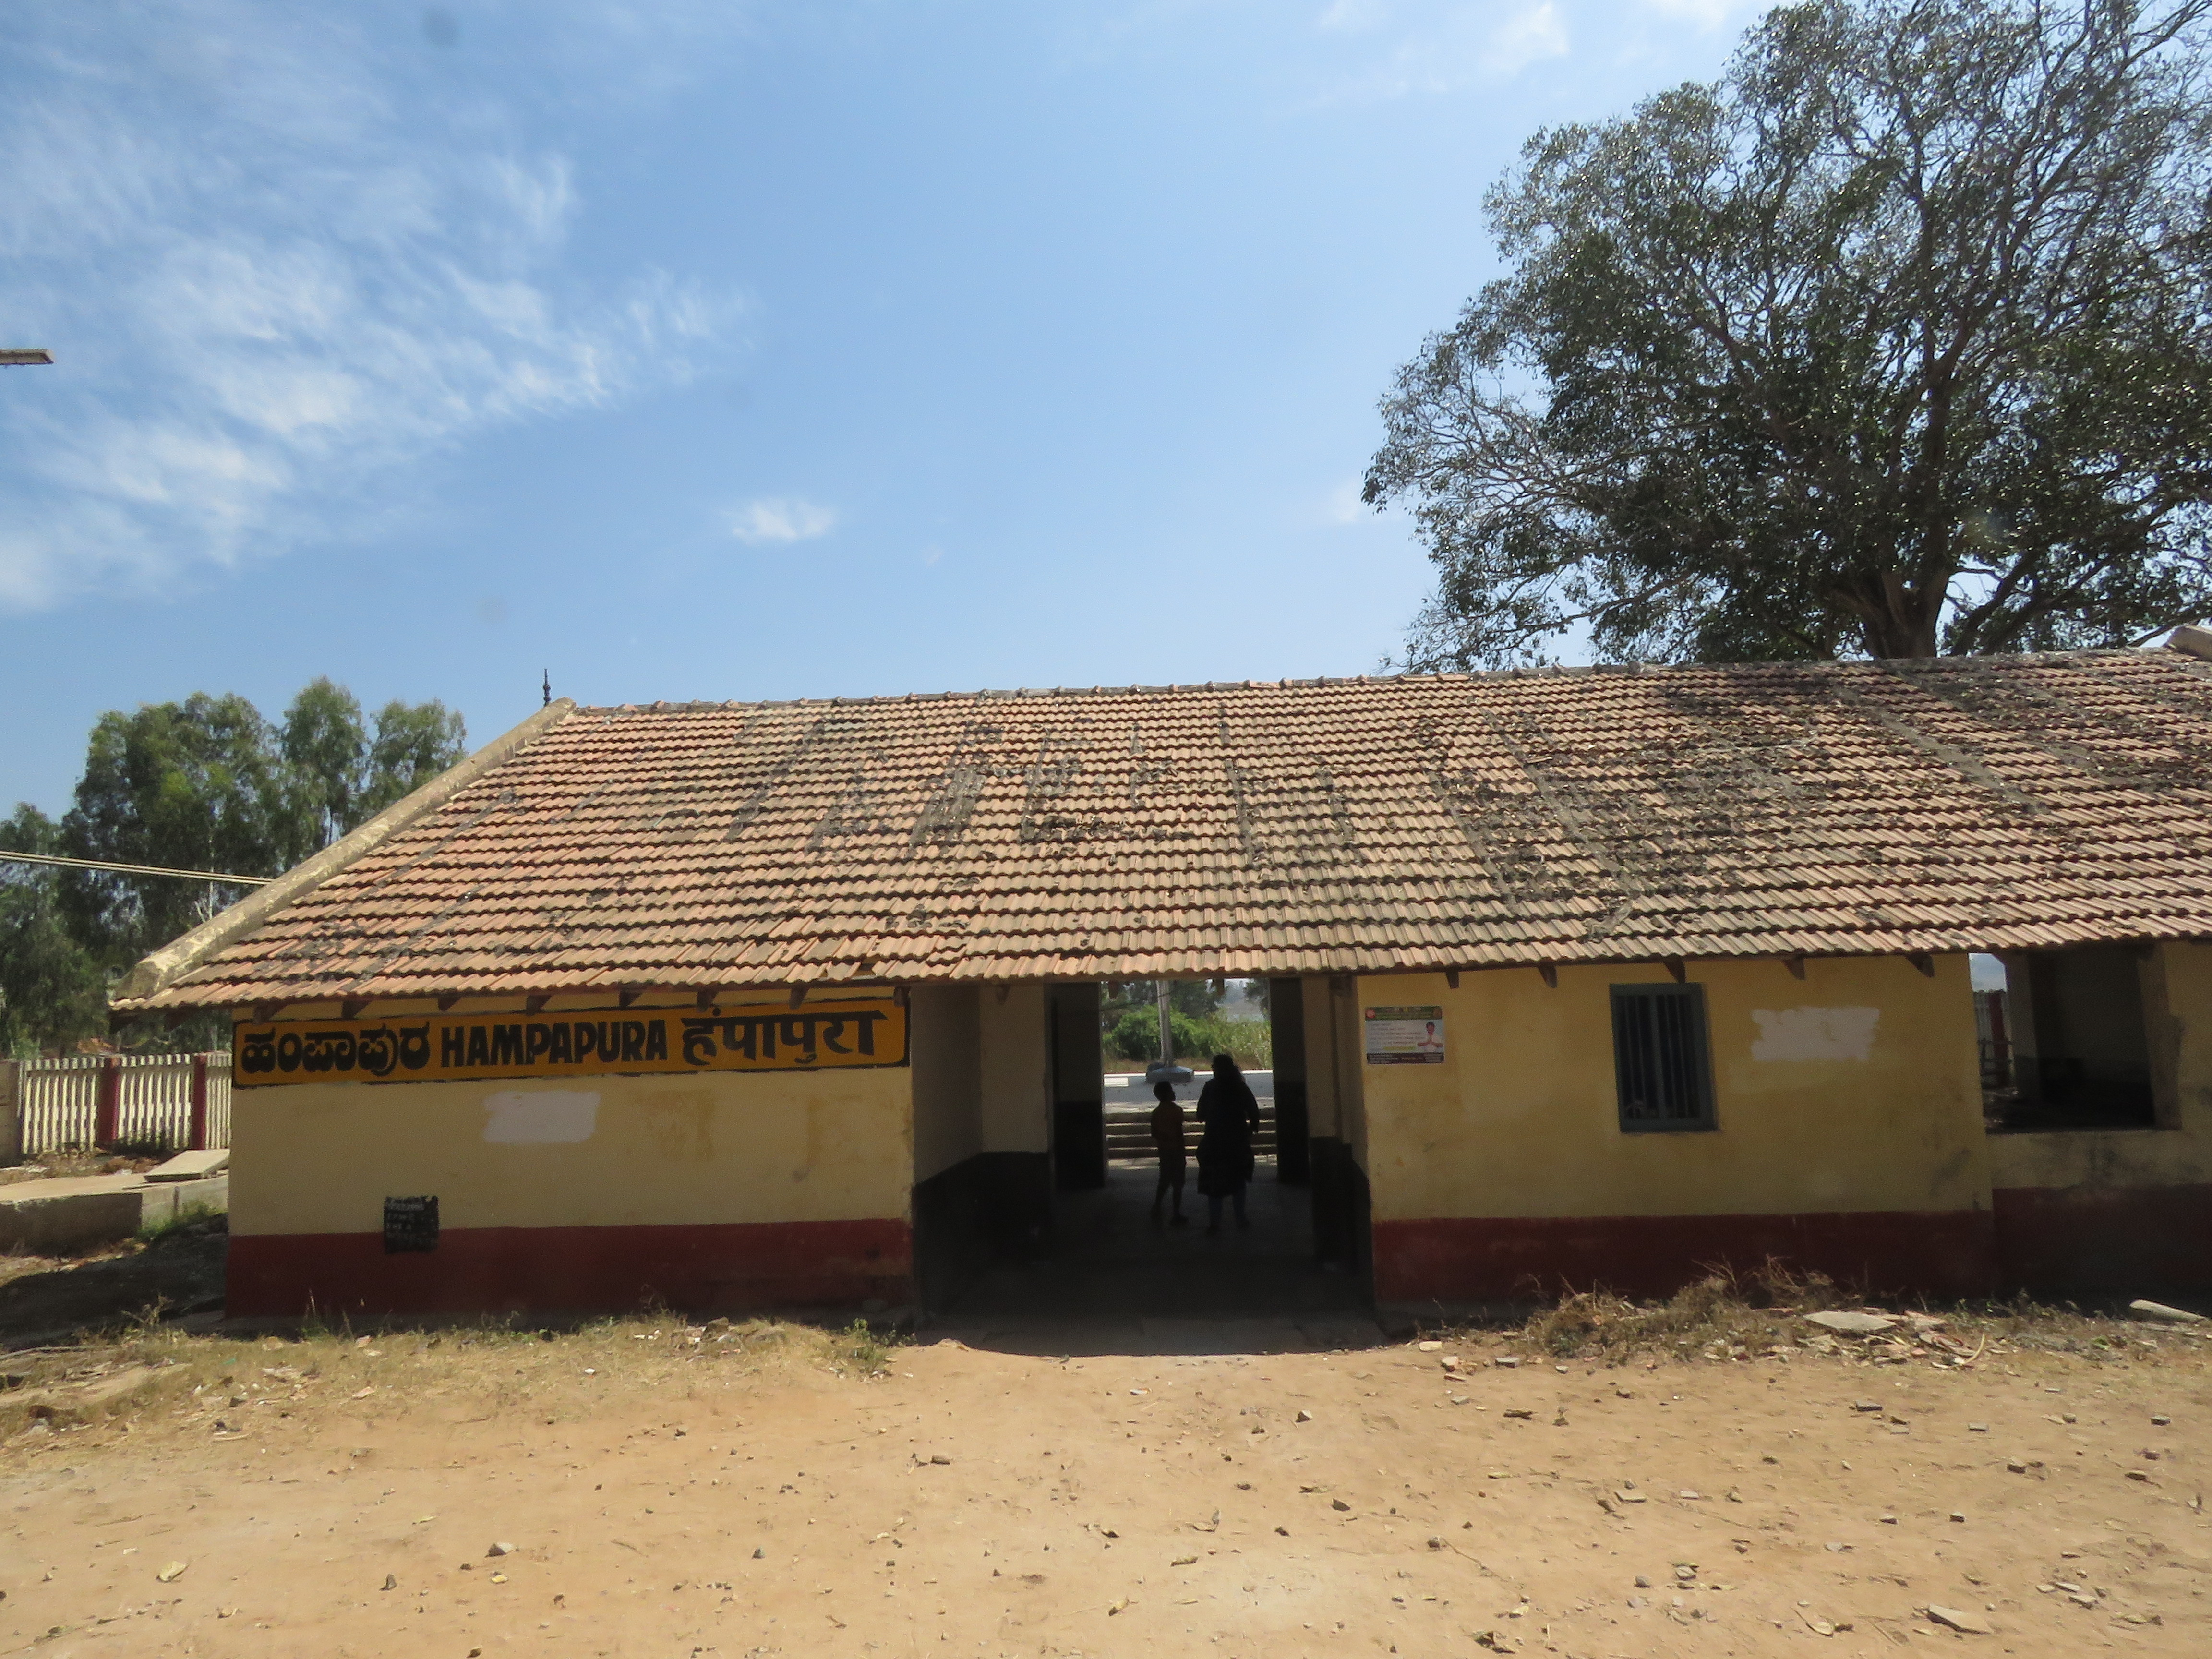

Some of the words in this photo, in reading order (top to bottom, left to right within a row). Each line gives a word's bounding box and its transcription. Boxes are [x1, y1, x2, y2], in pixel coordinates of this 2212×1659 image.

[234, 1014, 436, 1085] ಹಂಪಾಪುರ
[435, 1018, 672, 1071] HAMPAPURA
[681, 1003, 885, 1072] हंपापुरा